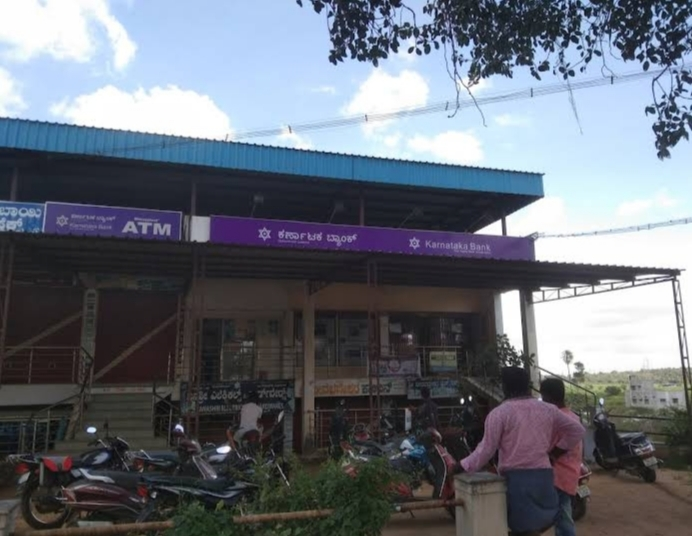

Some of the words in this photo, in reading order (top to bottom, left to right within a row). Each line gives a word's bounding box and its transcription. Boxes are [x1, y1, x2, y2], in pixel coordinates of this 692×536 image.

[119, 215, 177, 242] ATM
[273, 223, 327, 245] ಕರ್ಣಾಟಕ
[321, 229, 359, 249] ಬ್ಯಾಂಕ್
[419, 233, 471, 253] Karnataka
[466, 239, 497, 253] Bank
[206, 385, 245, 406] ಎಲೆಕಿಕಲ್ಸ